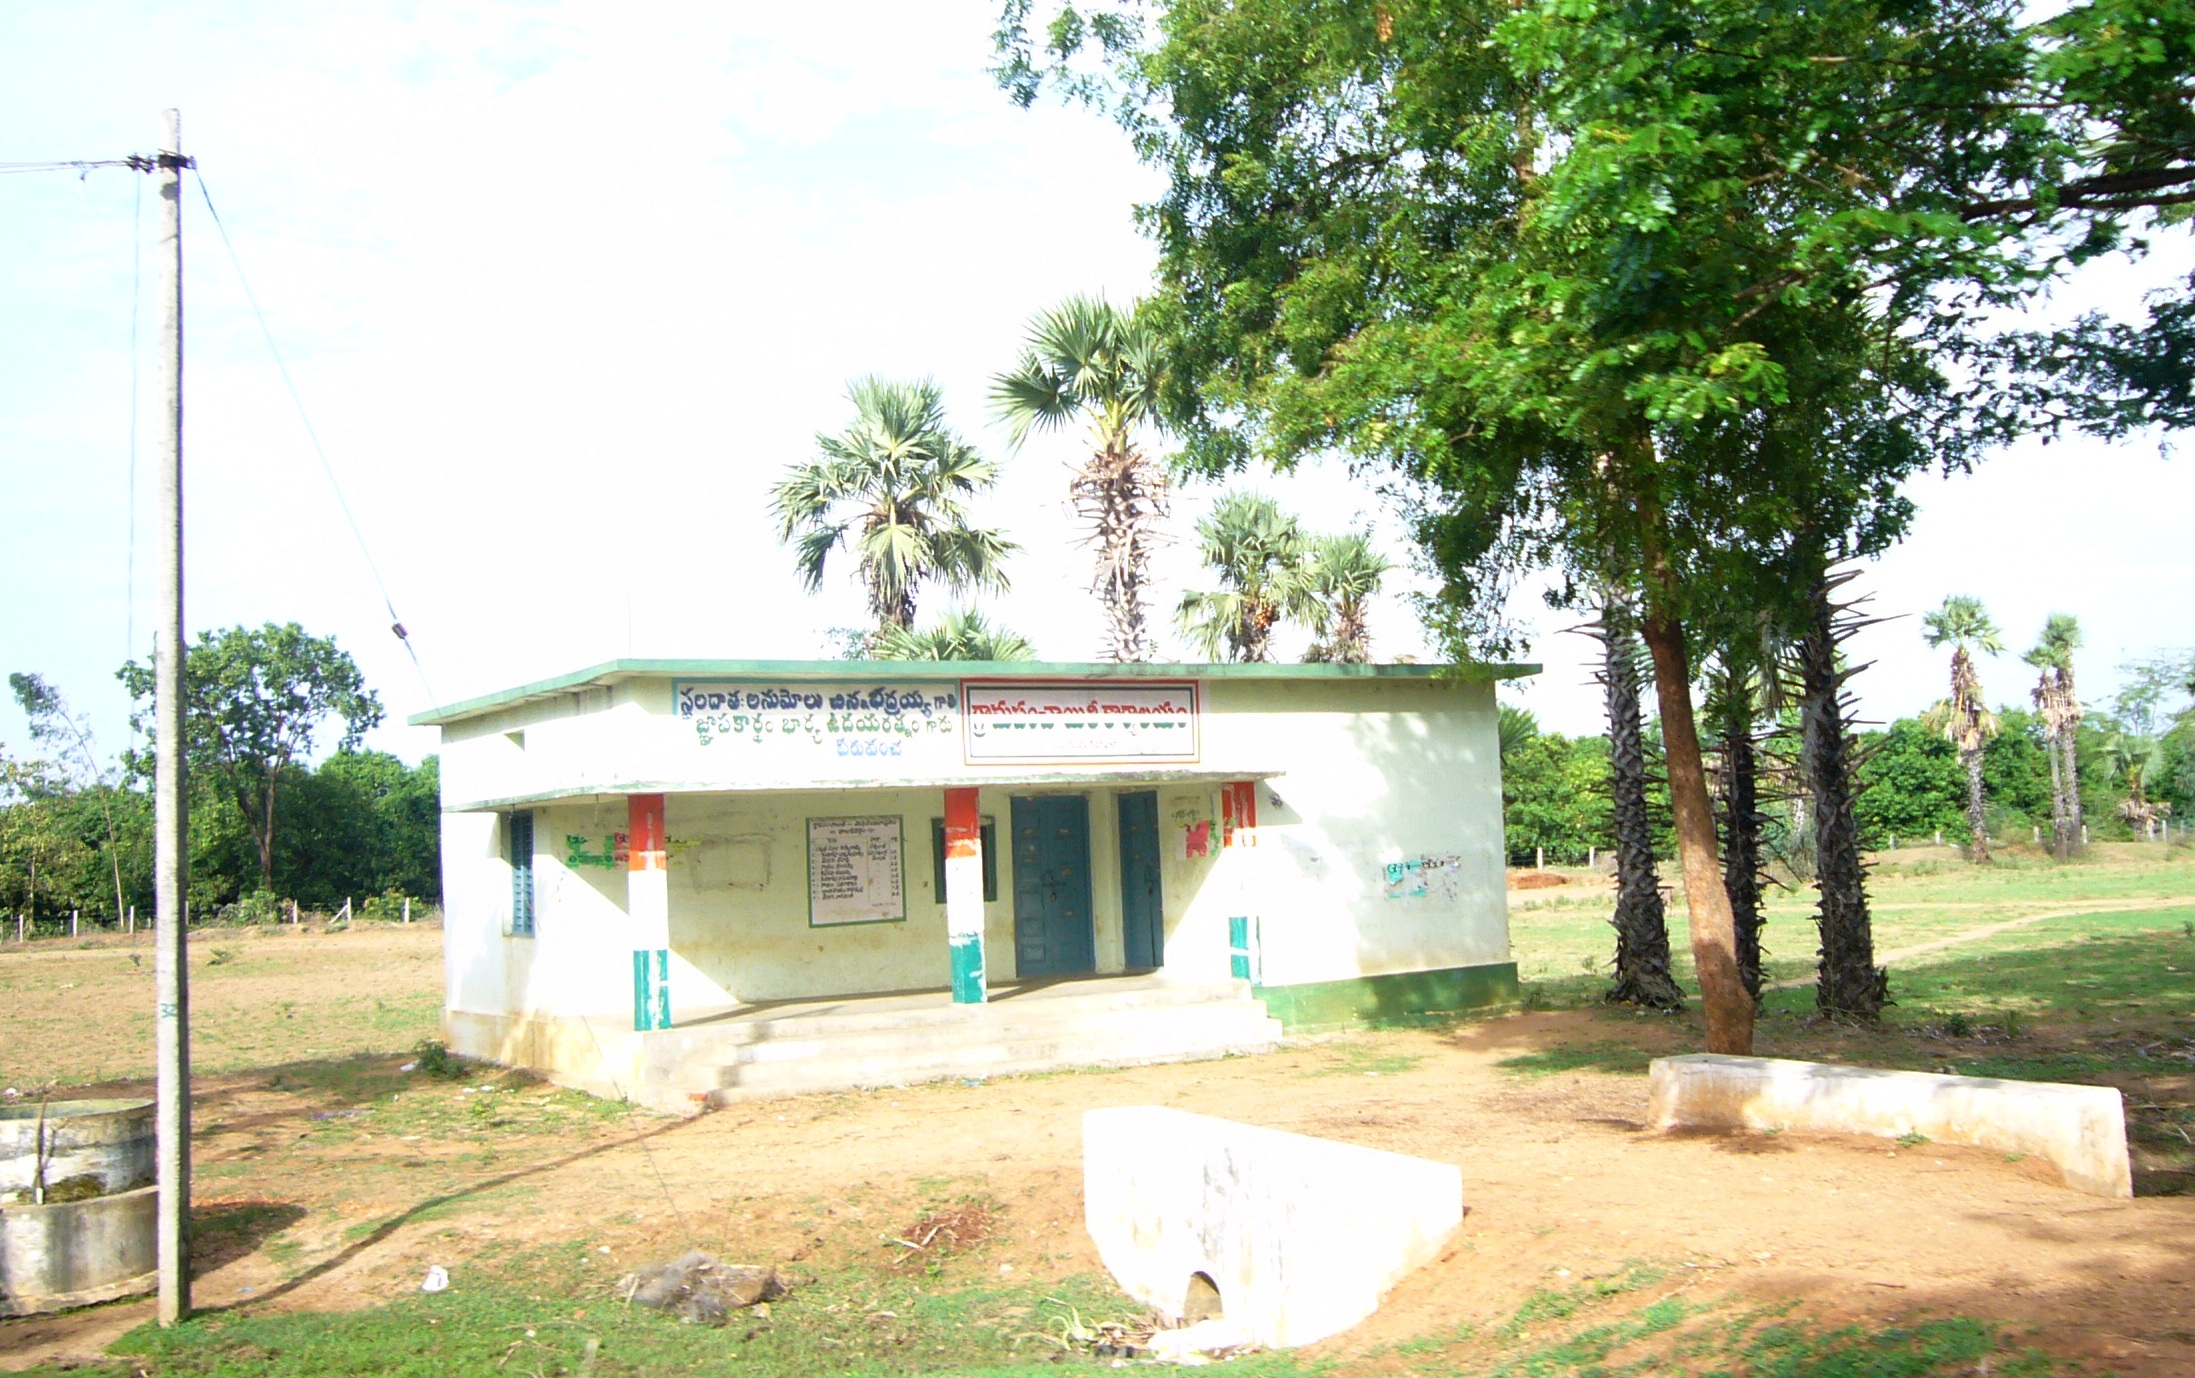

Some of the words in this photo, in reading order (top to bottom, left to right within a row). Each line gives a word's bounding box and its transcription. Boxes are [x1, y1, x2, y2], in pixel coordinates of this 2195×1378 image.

[675, 679, 744, 722] న్లలదాత
[737, 679, 829, 716] అనుమోలు
[822, 681, 960, 723] చిన్న తద్రయ్య గారి
[691, 705, 779, 753] జ్ఞాపకార్థం
[775, 709, 829, 750] భార్య
[834, 734, 907, 761] పరువంచ
[822, 703, 927, 743] ఉదయరత్నం
[921, 711, 957, 737] గారు